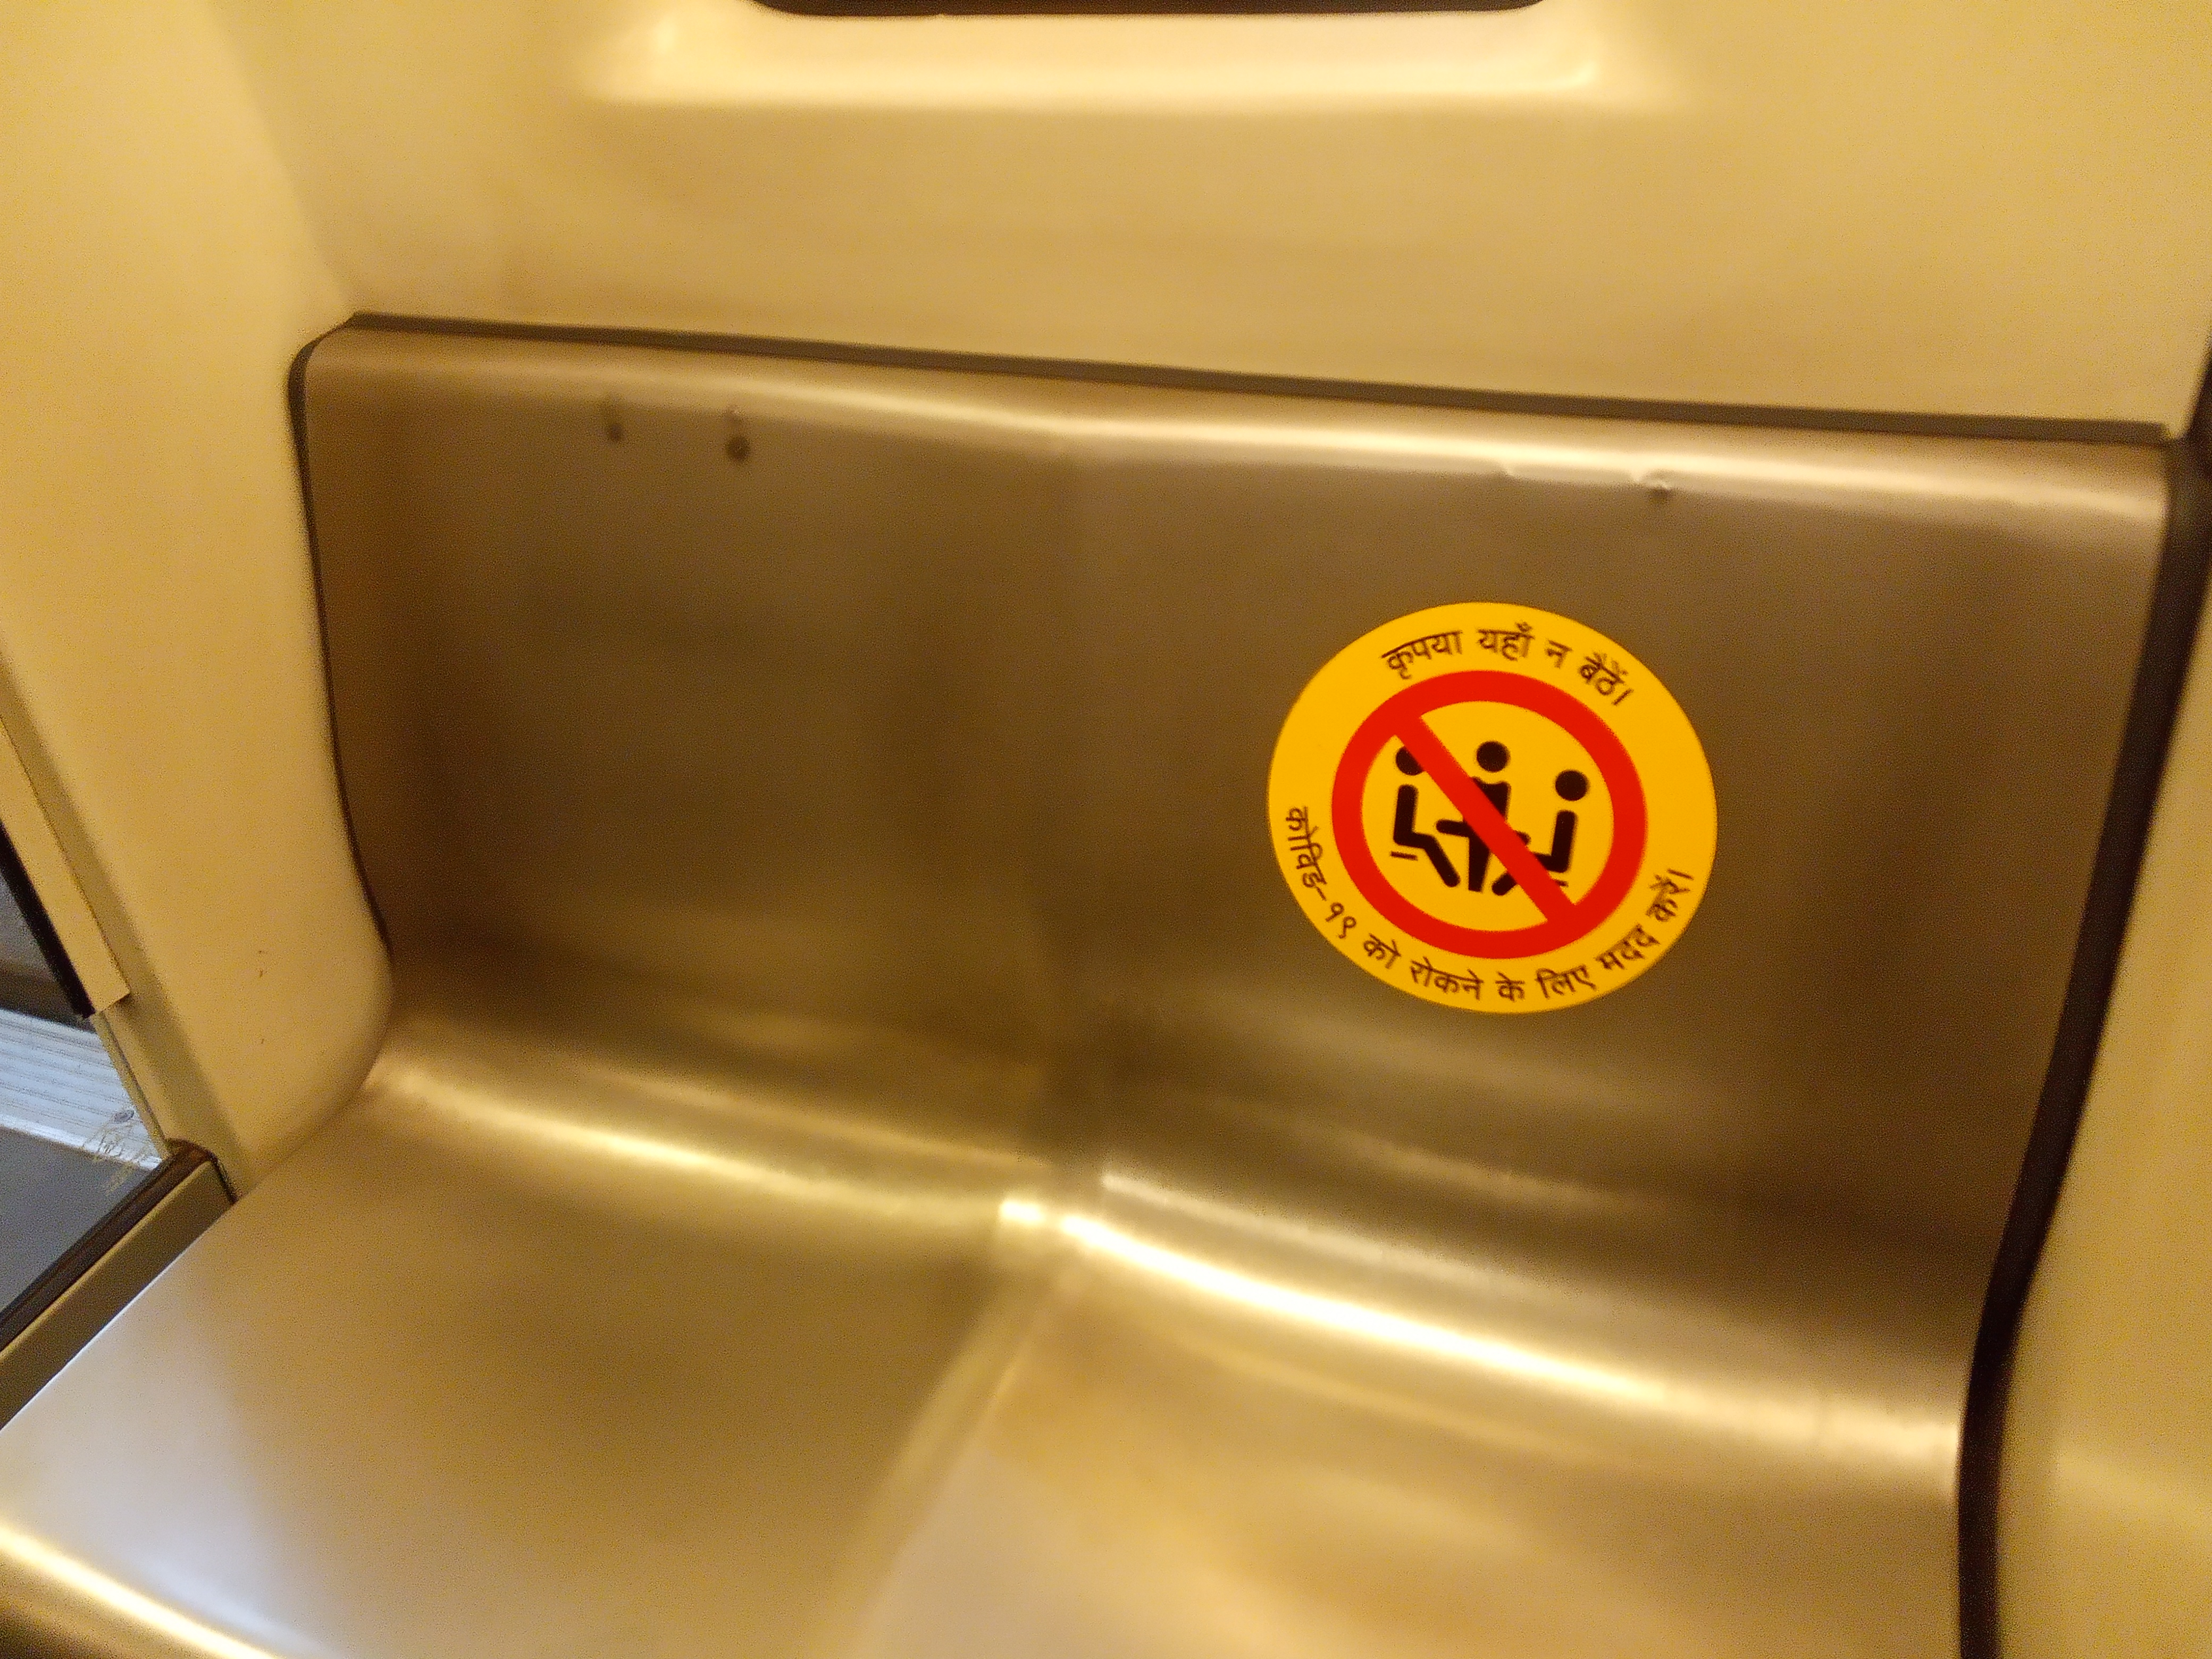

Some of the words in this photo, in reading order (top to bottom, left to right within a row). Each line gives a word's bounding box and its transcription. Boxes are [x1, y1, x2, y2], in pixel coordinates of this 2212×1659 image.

[1380, 626, 1467, 689] कृपया
[1474, 618, 1535, 668] यहाँ
[1535, 631, 1574, 681] न
[1579, 649, 1636, 708] बैठें।
[1283, 802, 1336, 896] कोविड
[1644, 861, 1692, 926] करें ।
[1320, 897, 1362, 942] १९
[1358, 929, 1405, 976] काे
[1589, 920, 1660, 985] मदद
[1405, 958, 1483, 1001] रोकने
[1483, 967, 1532, 1010] केे
[1530, 960, 1594, 1006] लिए